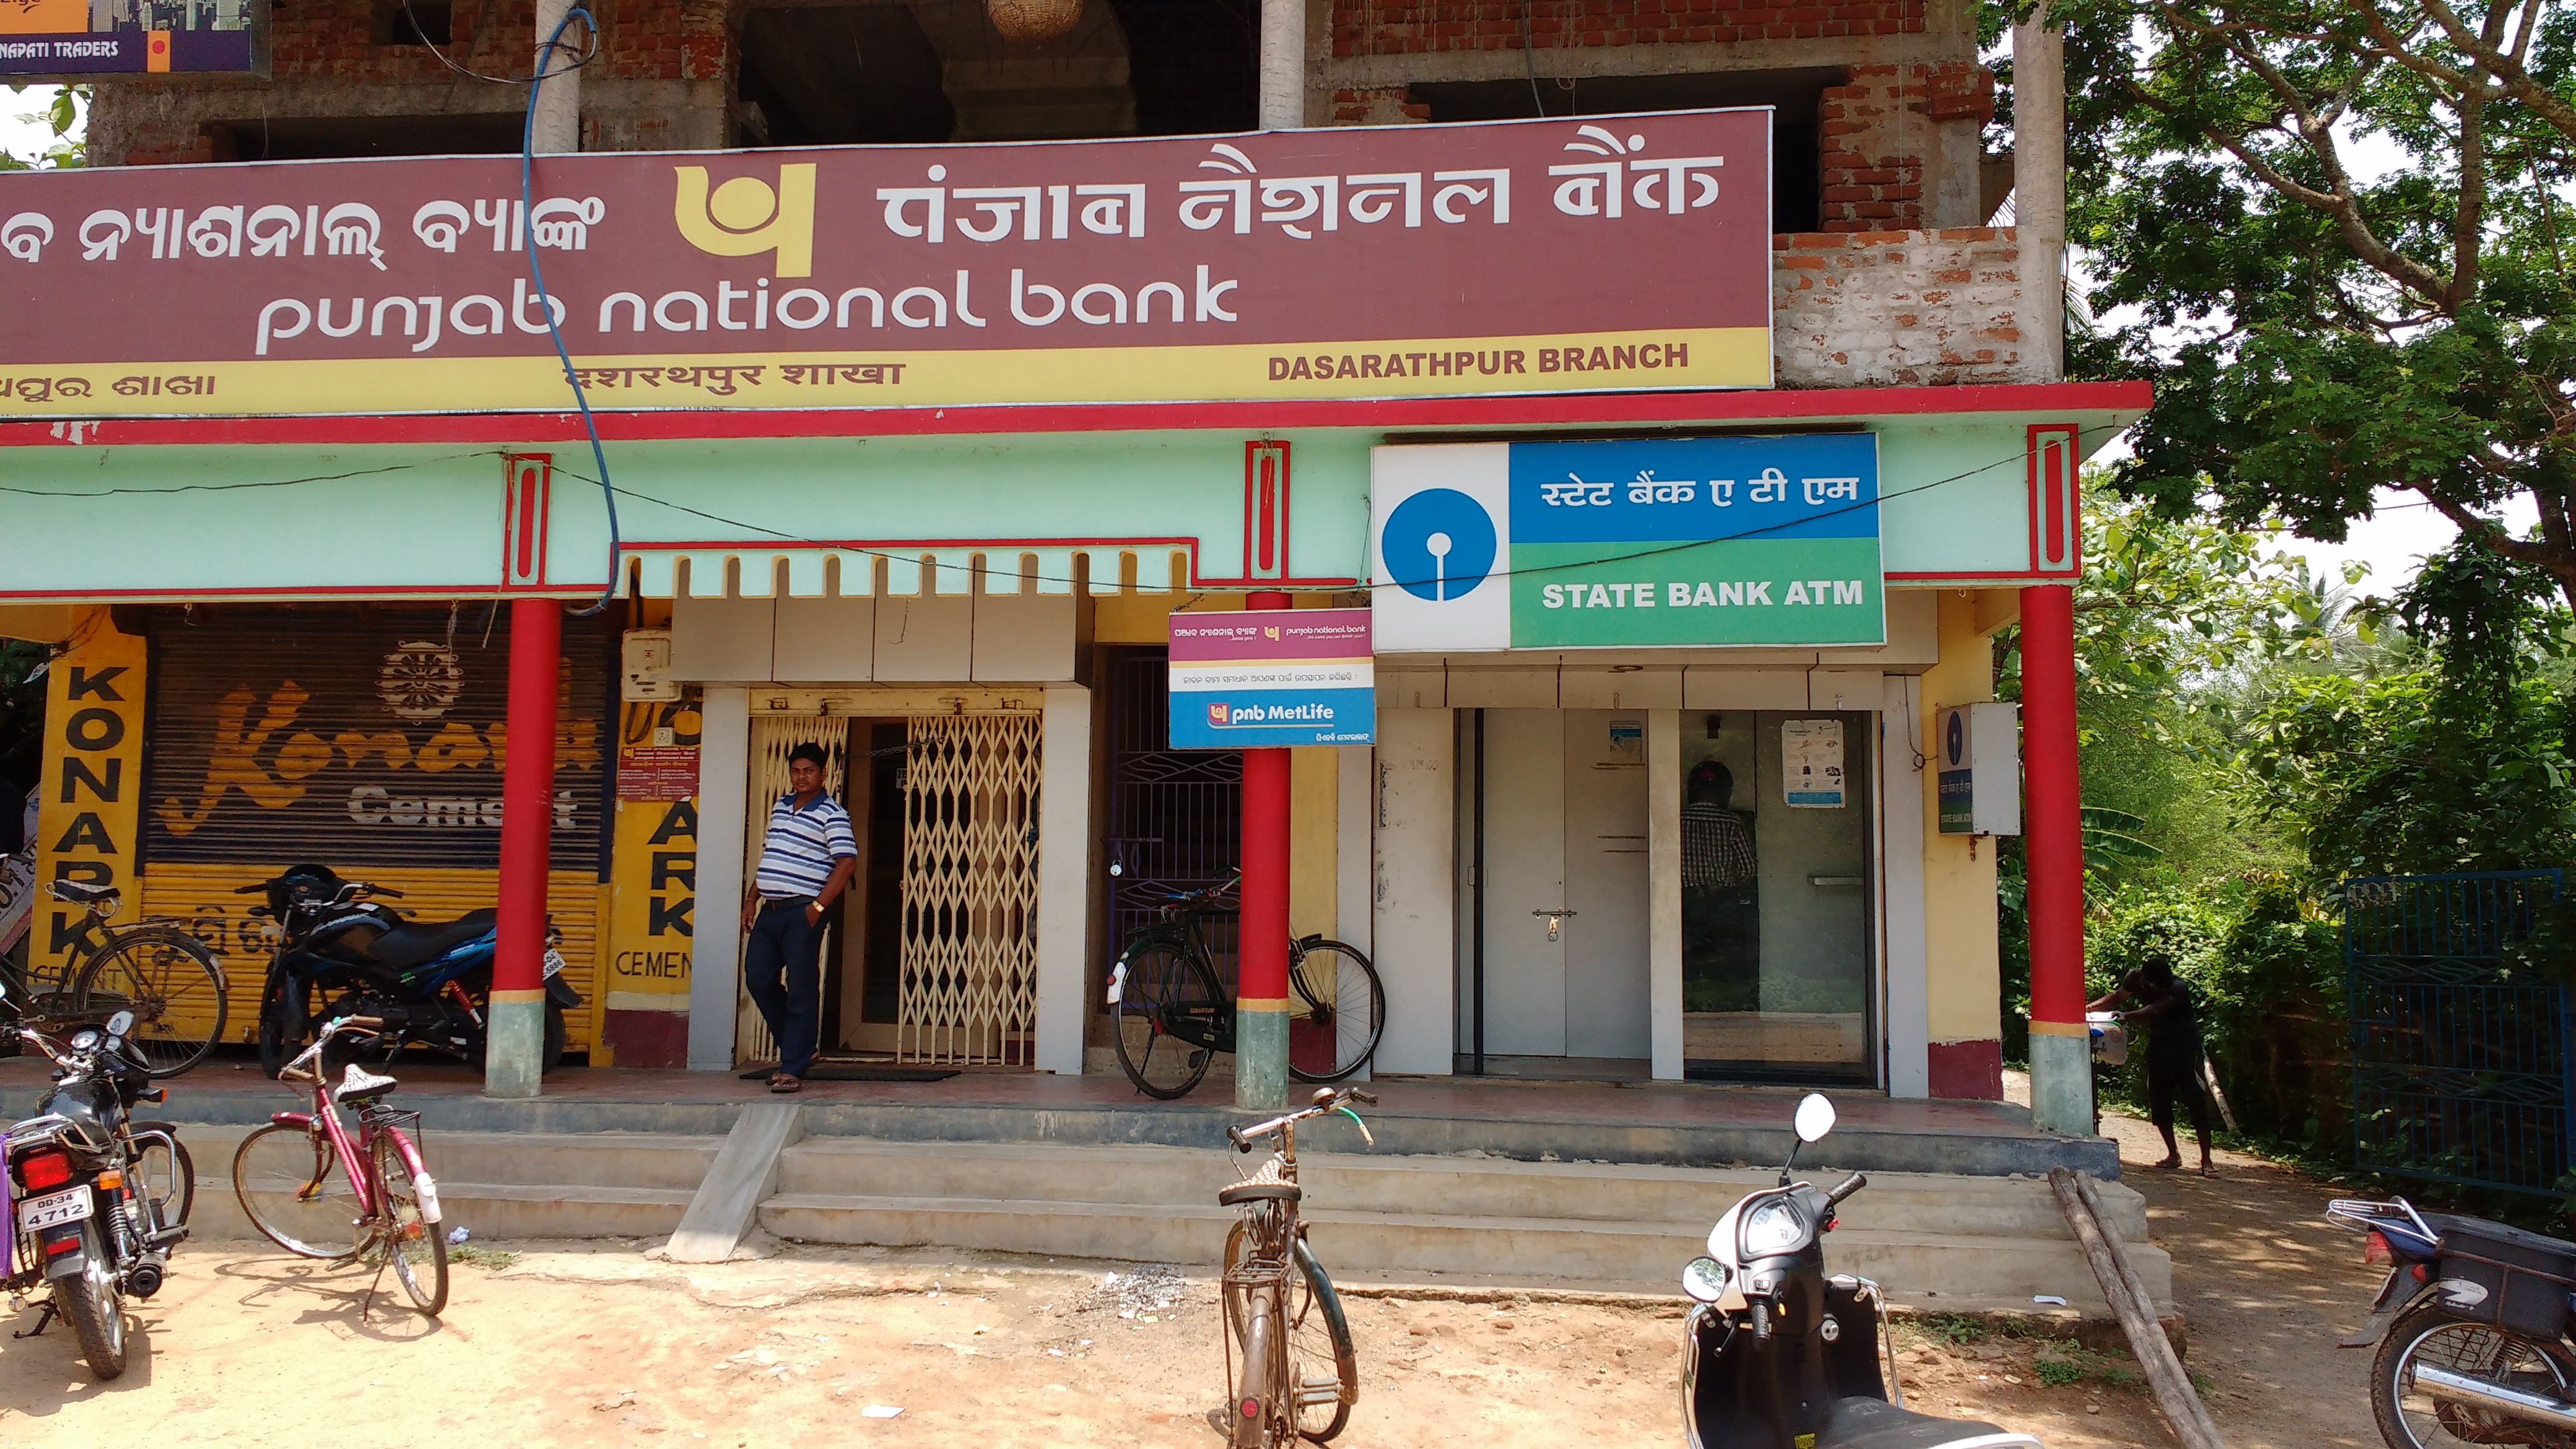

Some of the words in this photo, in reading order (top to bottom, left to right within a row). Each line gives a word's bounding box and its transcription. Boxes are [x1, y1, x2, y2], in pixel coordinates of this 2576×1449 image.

[51, 30, 128, 63] TRADERS
[867, 152, 1153, 249] पंजाब
[1170, 126, 1517, 248] नैशनल
[1538, 113, 1731, 233] बैंक
[71, 187, 395, 279] ନ୍ୟାଶନାଲ୍
[402, 186, 612, 264] ବ୍ୟାଙ୍କ
[249, 272, 573, 360] punjab
[586, 263, 991, 344] national
[1009, 254, 1247, 332] bank
[0, 364, 98, 407] ପୁର
[110, 370, 220, 402] ଶାଖା
[554, 358, 768, 402] दशरथपुर
[778, 360, 910, 391] शाखा
[1262, 339, 1528, 388] DASARATHPUR
[1534, 333, 1693, 379] BRANCH
[1534, 469, 1617, 514] स्टेट
[1620, 465, 1699, 513] बैंक
[1706, 474, 1739, 510] ए
[1739, 464, 1791, 510] टी
[1801, 474, 1861, 510] एम
[1540, 578, 1659, 614] STATE
[1662, 577, 1777, 611] BANK
[1780, 572, 1868, 611] ATM
[1172, 622, 1199, 639] ପଞ୍ଜାବ
[1197, 625, 1237, 638] ନ୍ୟାଶନାଲ୍
[1234, 622, 1261, 639] ବ୍ୟାଙ୍କ
[1283, 622, 1348, 638] punjab national
[1344, 622, 1367, 635] bank
[1180, 672, 1206, 686] ଜୀବନ
[1202, 672, 1223, 688] ଚୀମା
[1218, 672, 1251, 687] ପମାଧାନ
[1248, 670, 1279, 684] ଆପଣଙ୍କ
[1276, 672, 1295, 684] ପାଇଁ
[1291, 672, 1329, 685] ଉପସ୍ଥାପନ
[1325, 669, 1357, 685] କରିଛନ୍ତି
[1228, 698, 1269, 730] pnb
[1266, 700, 1336, 723] MetLife
[1311, 726, 1339, 742] ପିଏନତି
[1333, 731, 1373, 744] ମେଟଲାଇଫ
[45, 663, 131, 962] KONARK